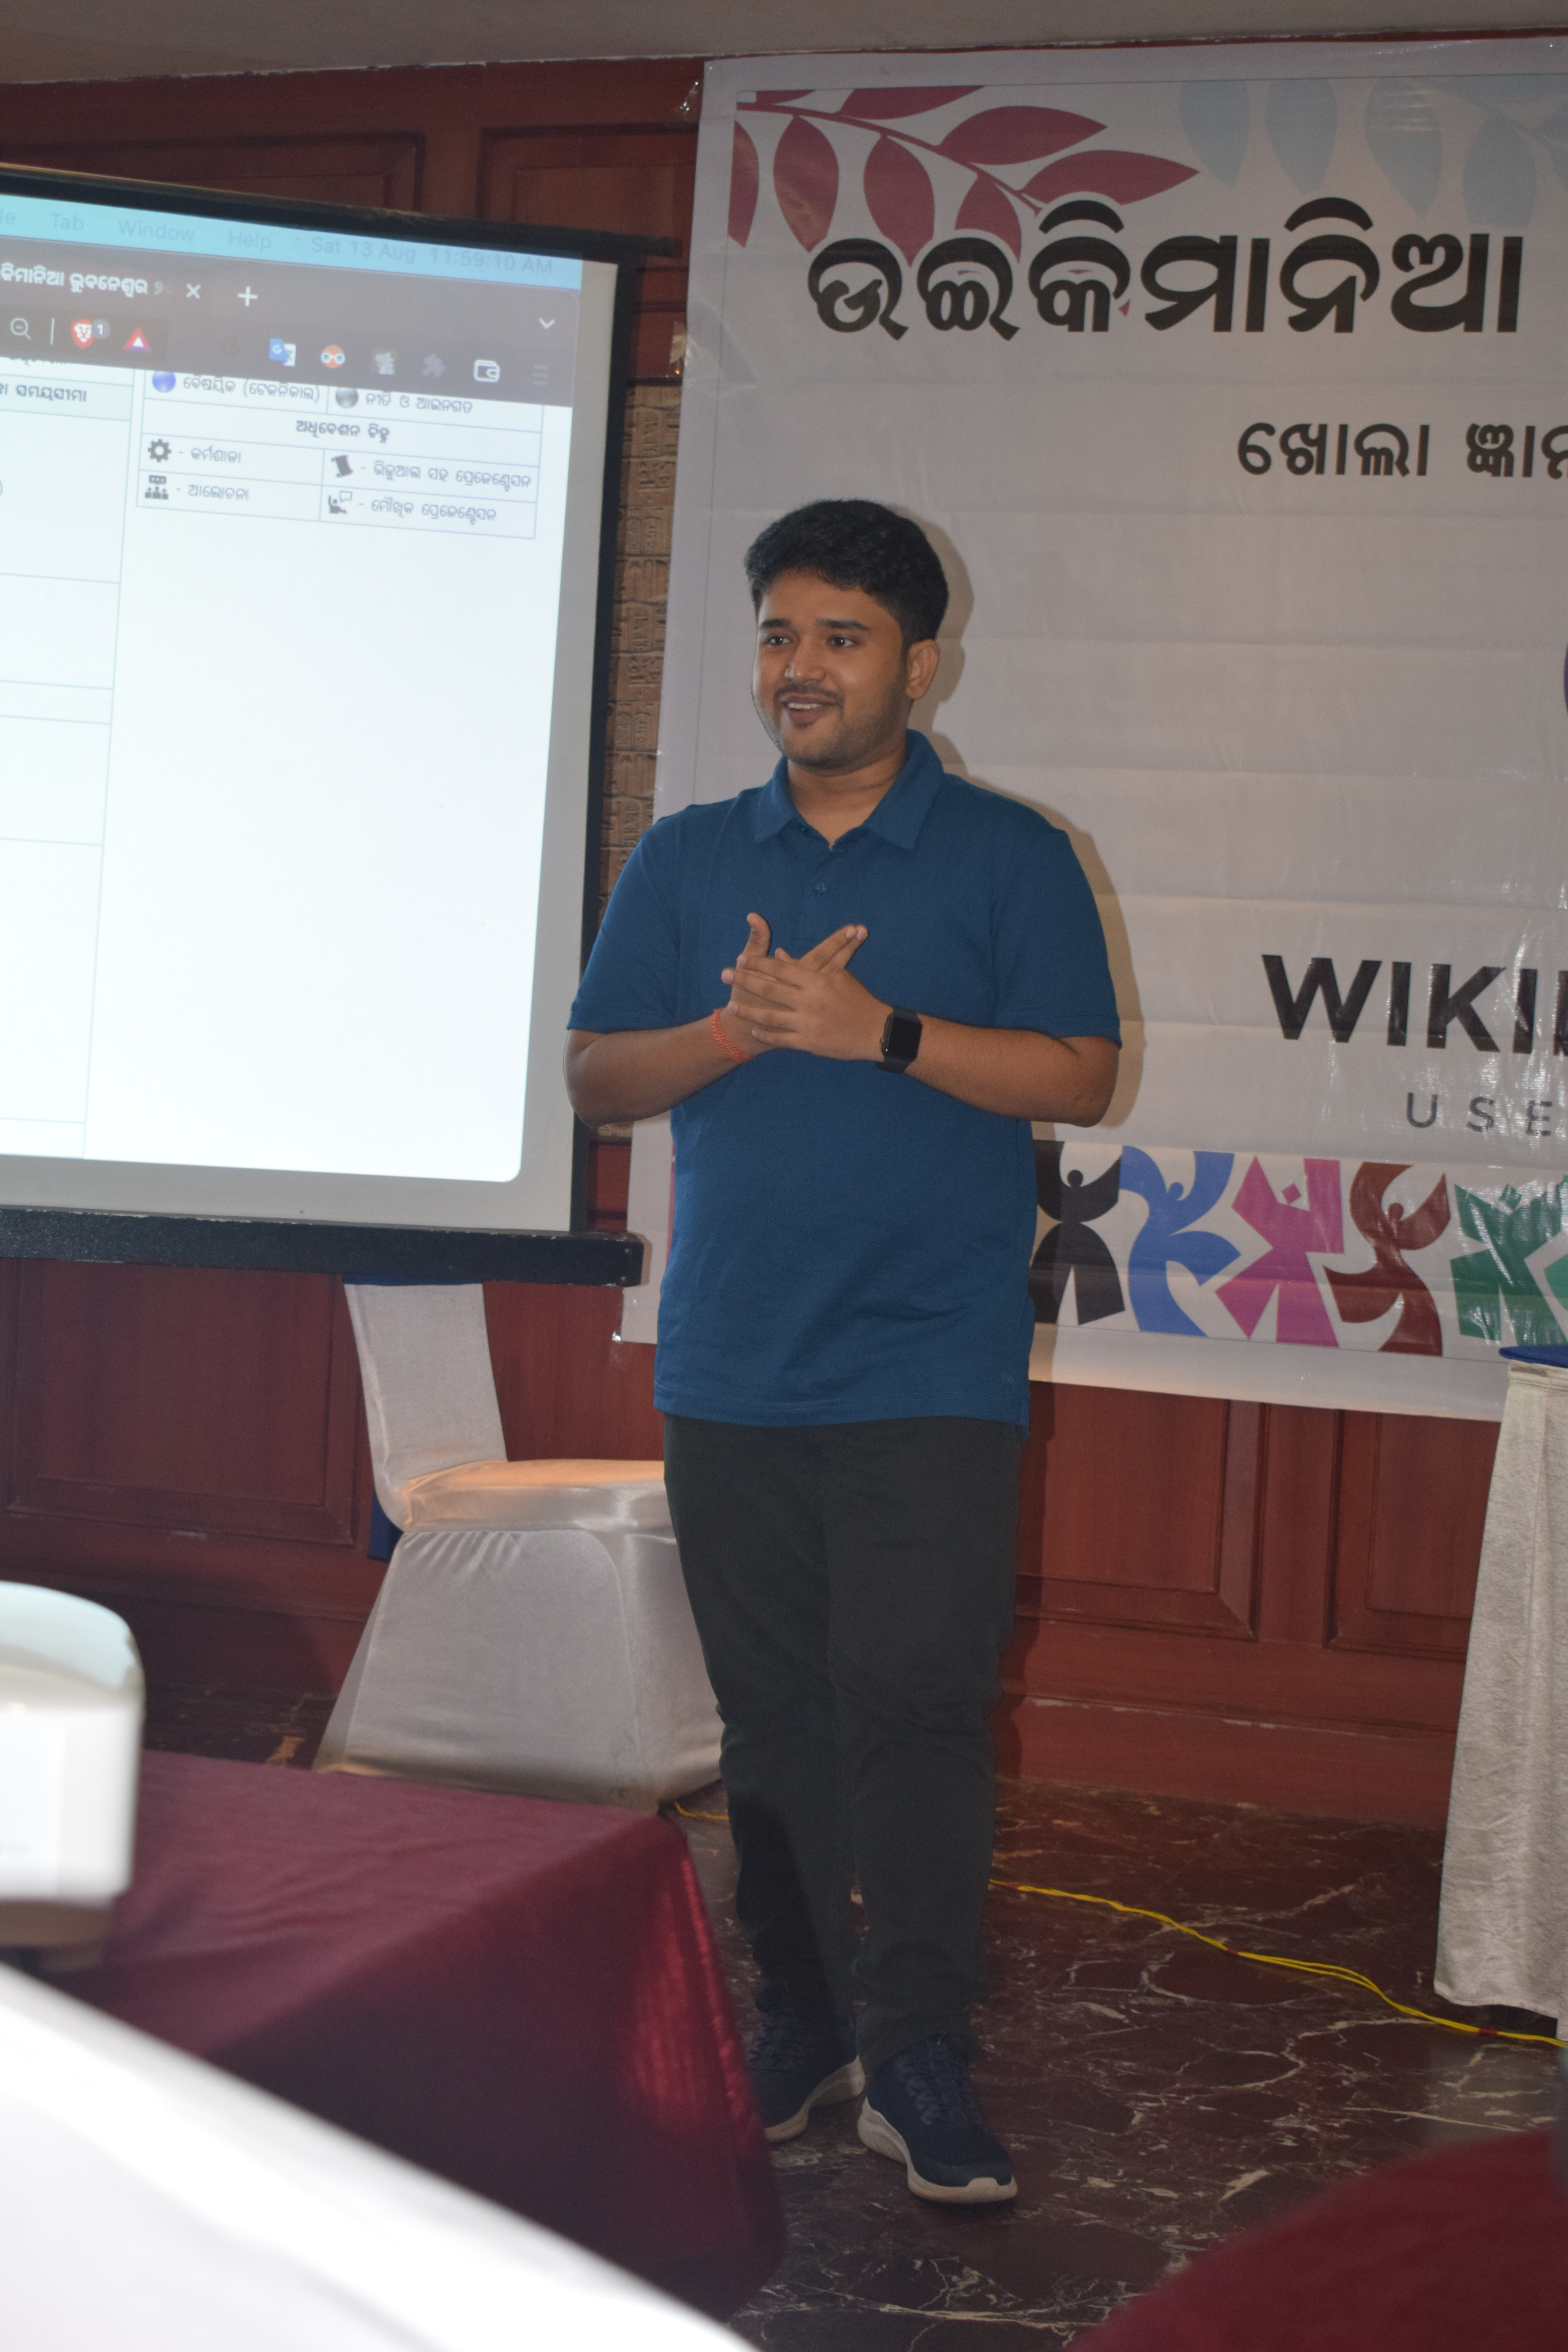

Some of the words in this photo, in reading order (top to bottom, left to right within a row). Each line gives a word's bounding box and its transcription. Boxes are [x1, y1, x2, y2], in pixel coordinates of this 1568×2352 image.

[2, 258, 67, 290] କିମାନିଆ
[69, 267, 153, 302] ଭୁବନେଶ୍ବର
[799, 195, 1527, 346] ଉଇକିମାନିଆ
[180, 374, 240, 399] ବୈଷୟିକ
[246, 379, 321, 405] ଟେକନିକାଲ)
[362, 387, 396, 410] ନୀତି
[413, 391, 481, 418] ଆଇନଗତ
[296, 419, 367, 440] ଅଧୂବେଶନ
[366, 420, 394, 447] ଚିହ୍ନ
[186, 444, 245, 467] କର୍ମଶାଳା
[1229, 417, 1436, 484] ଖୋଲା
[185, 481, 255, 507] ଆଲୋଚନା
[370, 494, 421, 518] ମୌଖୁକ
[372, 458, 426, 487] ଇିଜୁଆଲ
[423, 466, 456, 484] ସହ
[420, 499, 504, 528] ପ୍ରେଜେଣ୍ଟେସନ
[452, 467, 536, 497] ପ୍ରେଜେଣ୍ଟେସନ